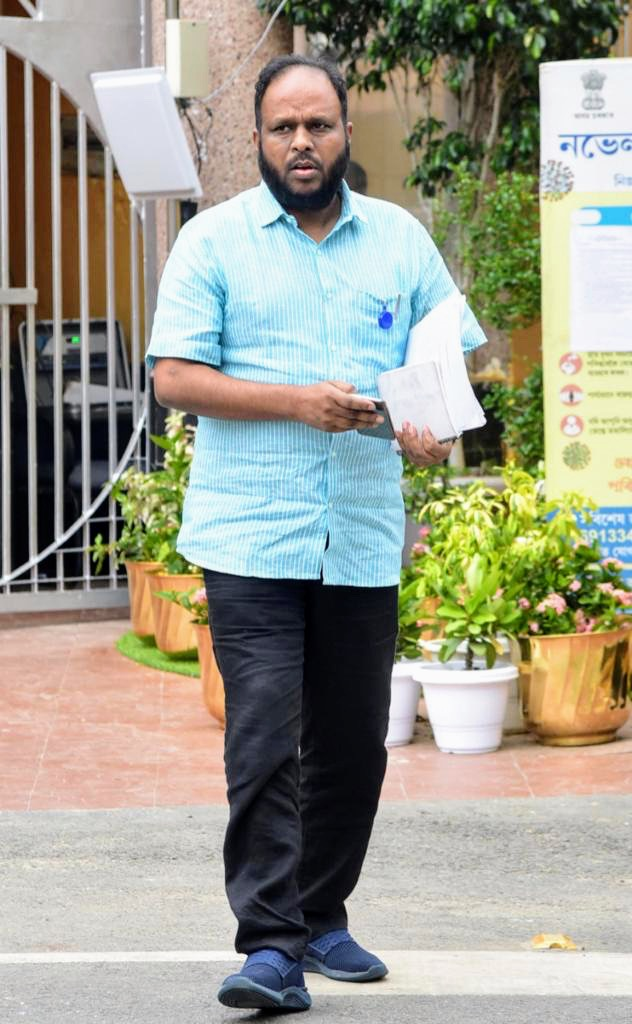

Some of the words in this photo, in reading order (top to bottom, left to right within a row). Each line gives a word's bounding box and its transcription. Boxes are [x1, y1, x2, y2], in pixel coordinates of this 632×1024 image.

[551, 123, 632, 164] নভেল